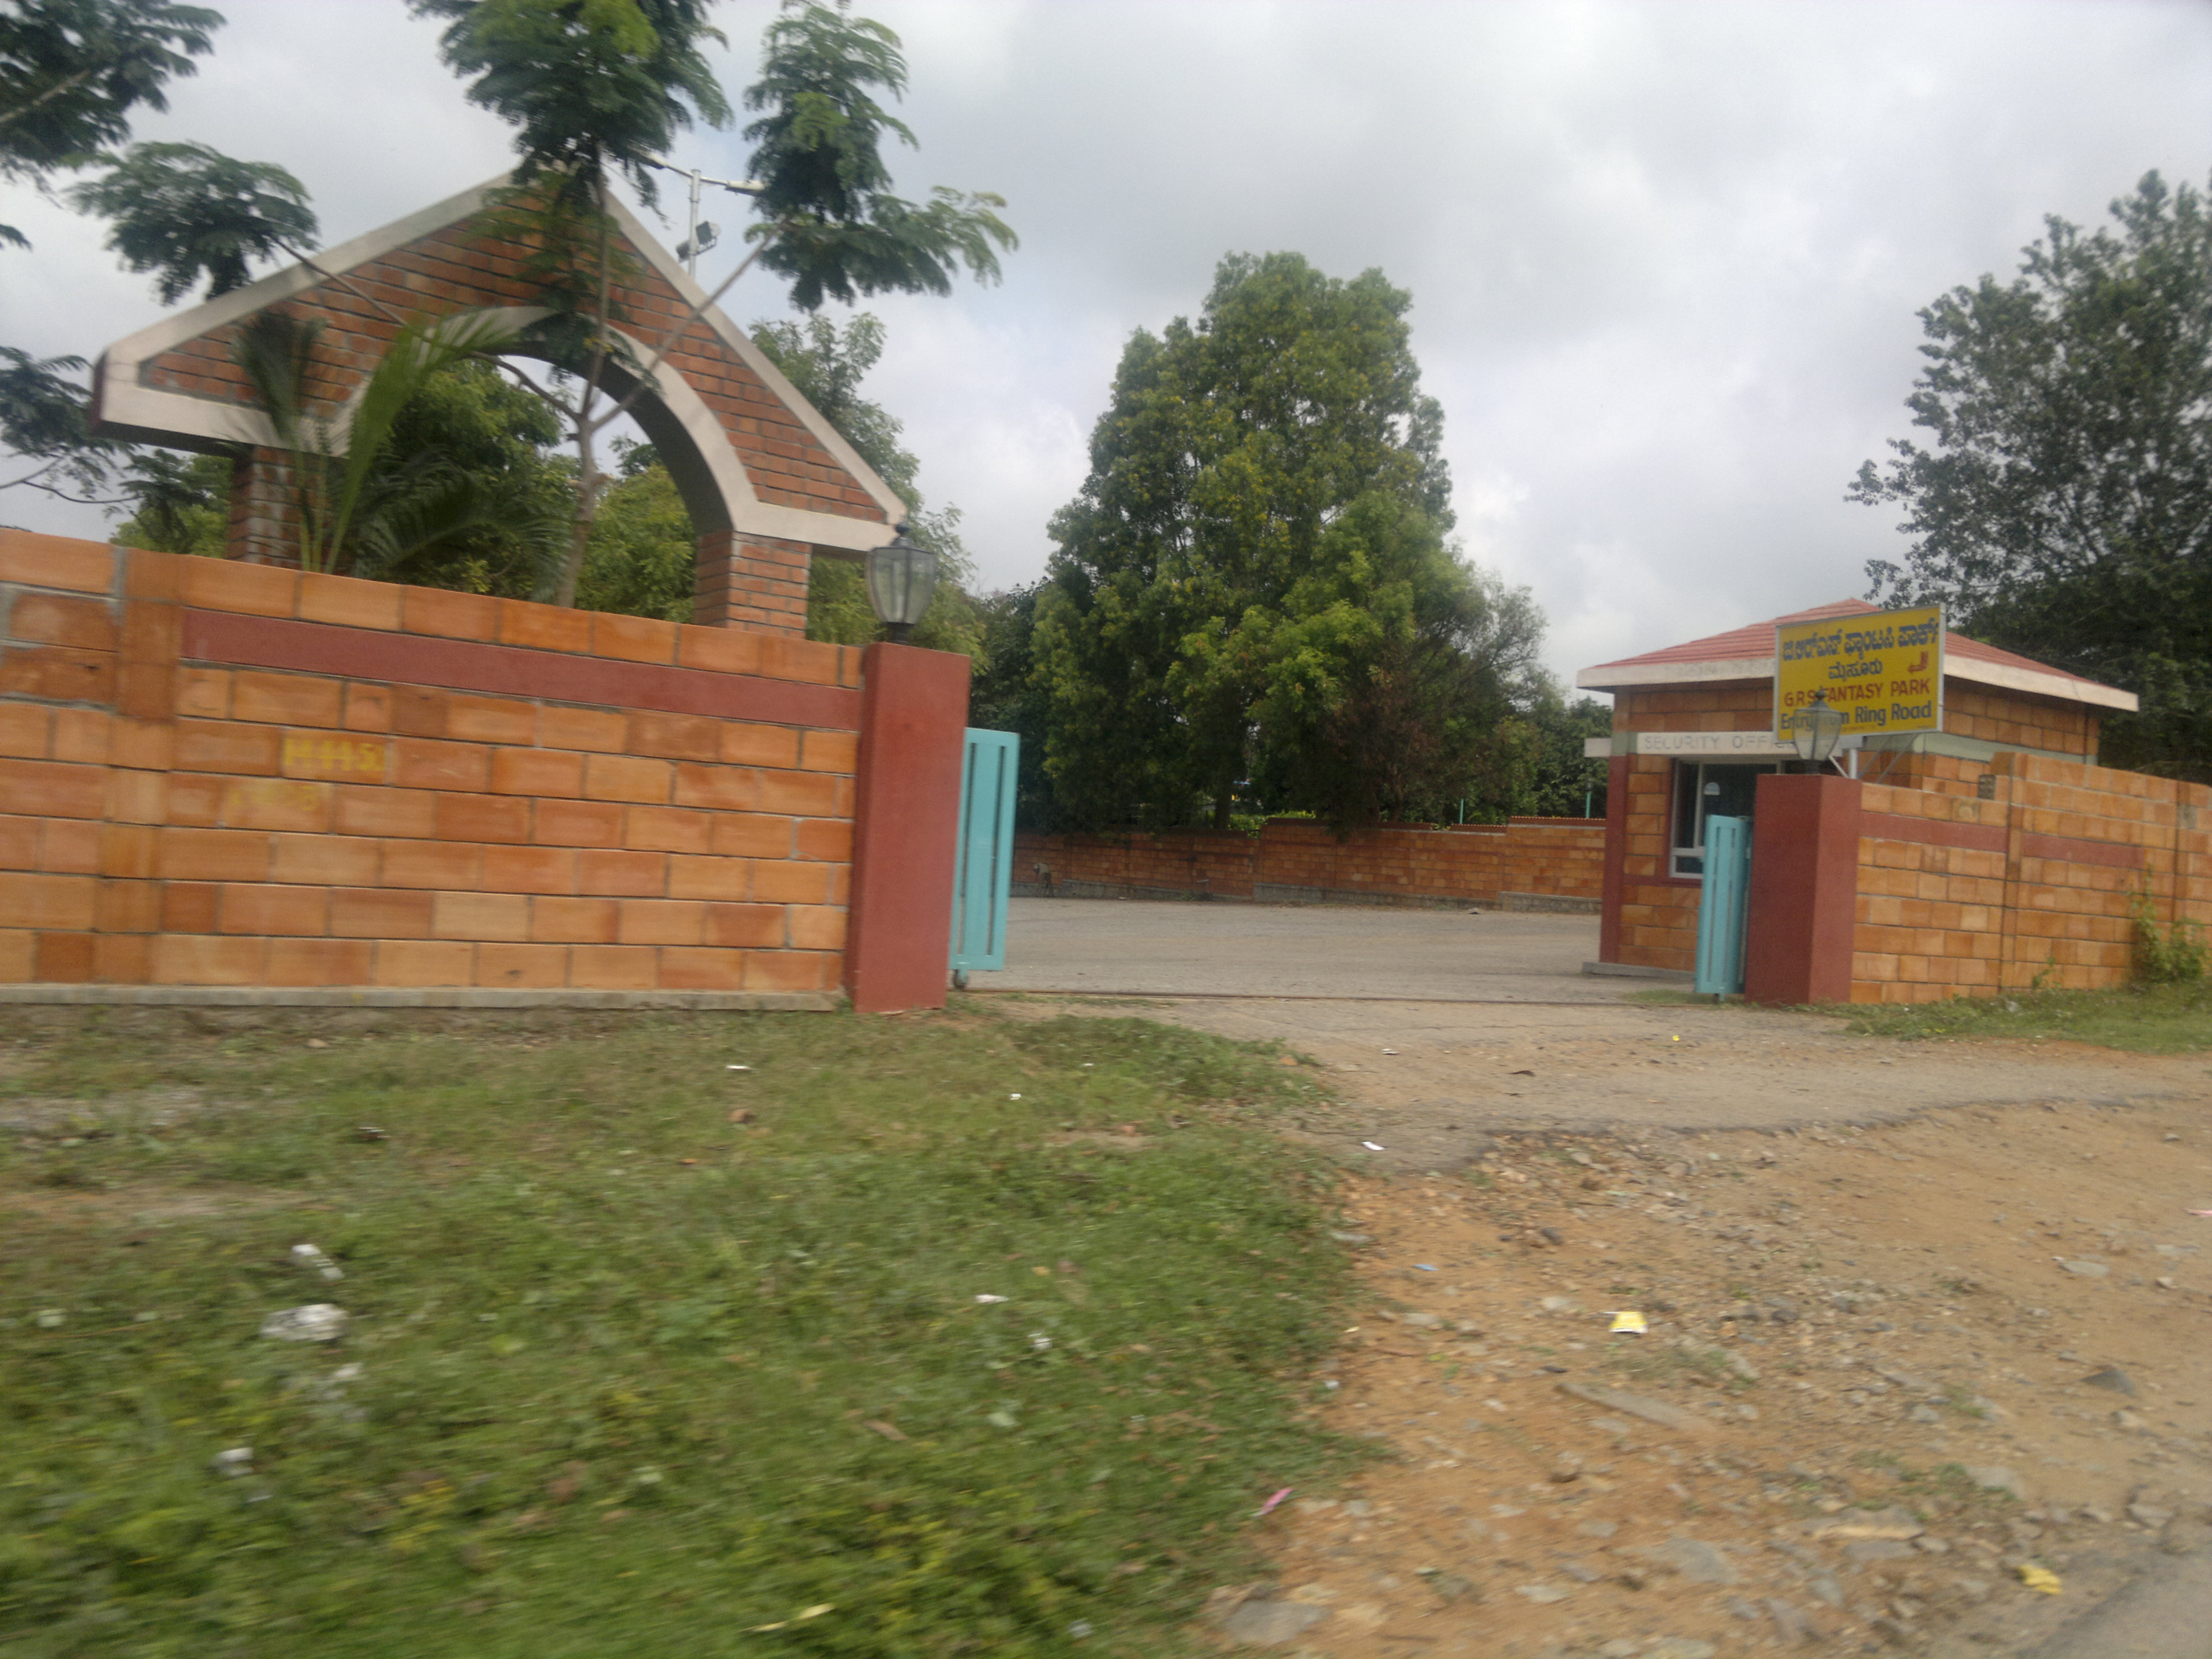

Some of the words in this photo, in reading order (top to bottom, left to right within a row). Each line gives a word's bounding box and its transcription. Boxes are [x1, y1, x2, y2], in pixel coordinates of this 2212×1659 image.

[1774, 623, 1845, 662] ಜಆರ್ಎಸ್
[1839, 623, 1897, 661] ಫ್ಲಾಂಟಸಿ
[1890, 613, 1943, 651] ಪಾಕ್
[1823, 654, 1887, 684] ಮೈಸೂರು
[1777, 679, 1886, 711] GRSFANTASY
[1851, 702, 1890, 729] Ring
[1886, 695, 1934, 723] Road
[1887, 674, 1934, 702] PARK
[1638, 729, 1725, 754] SECURITY